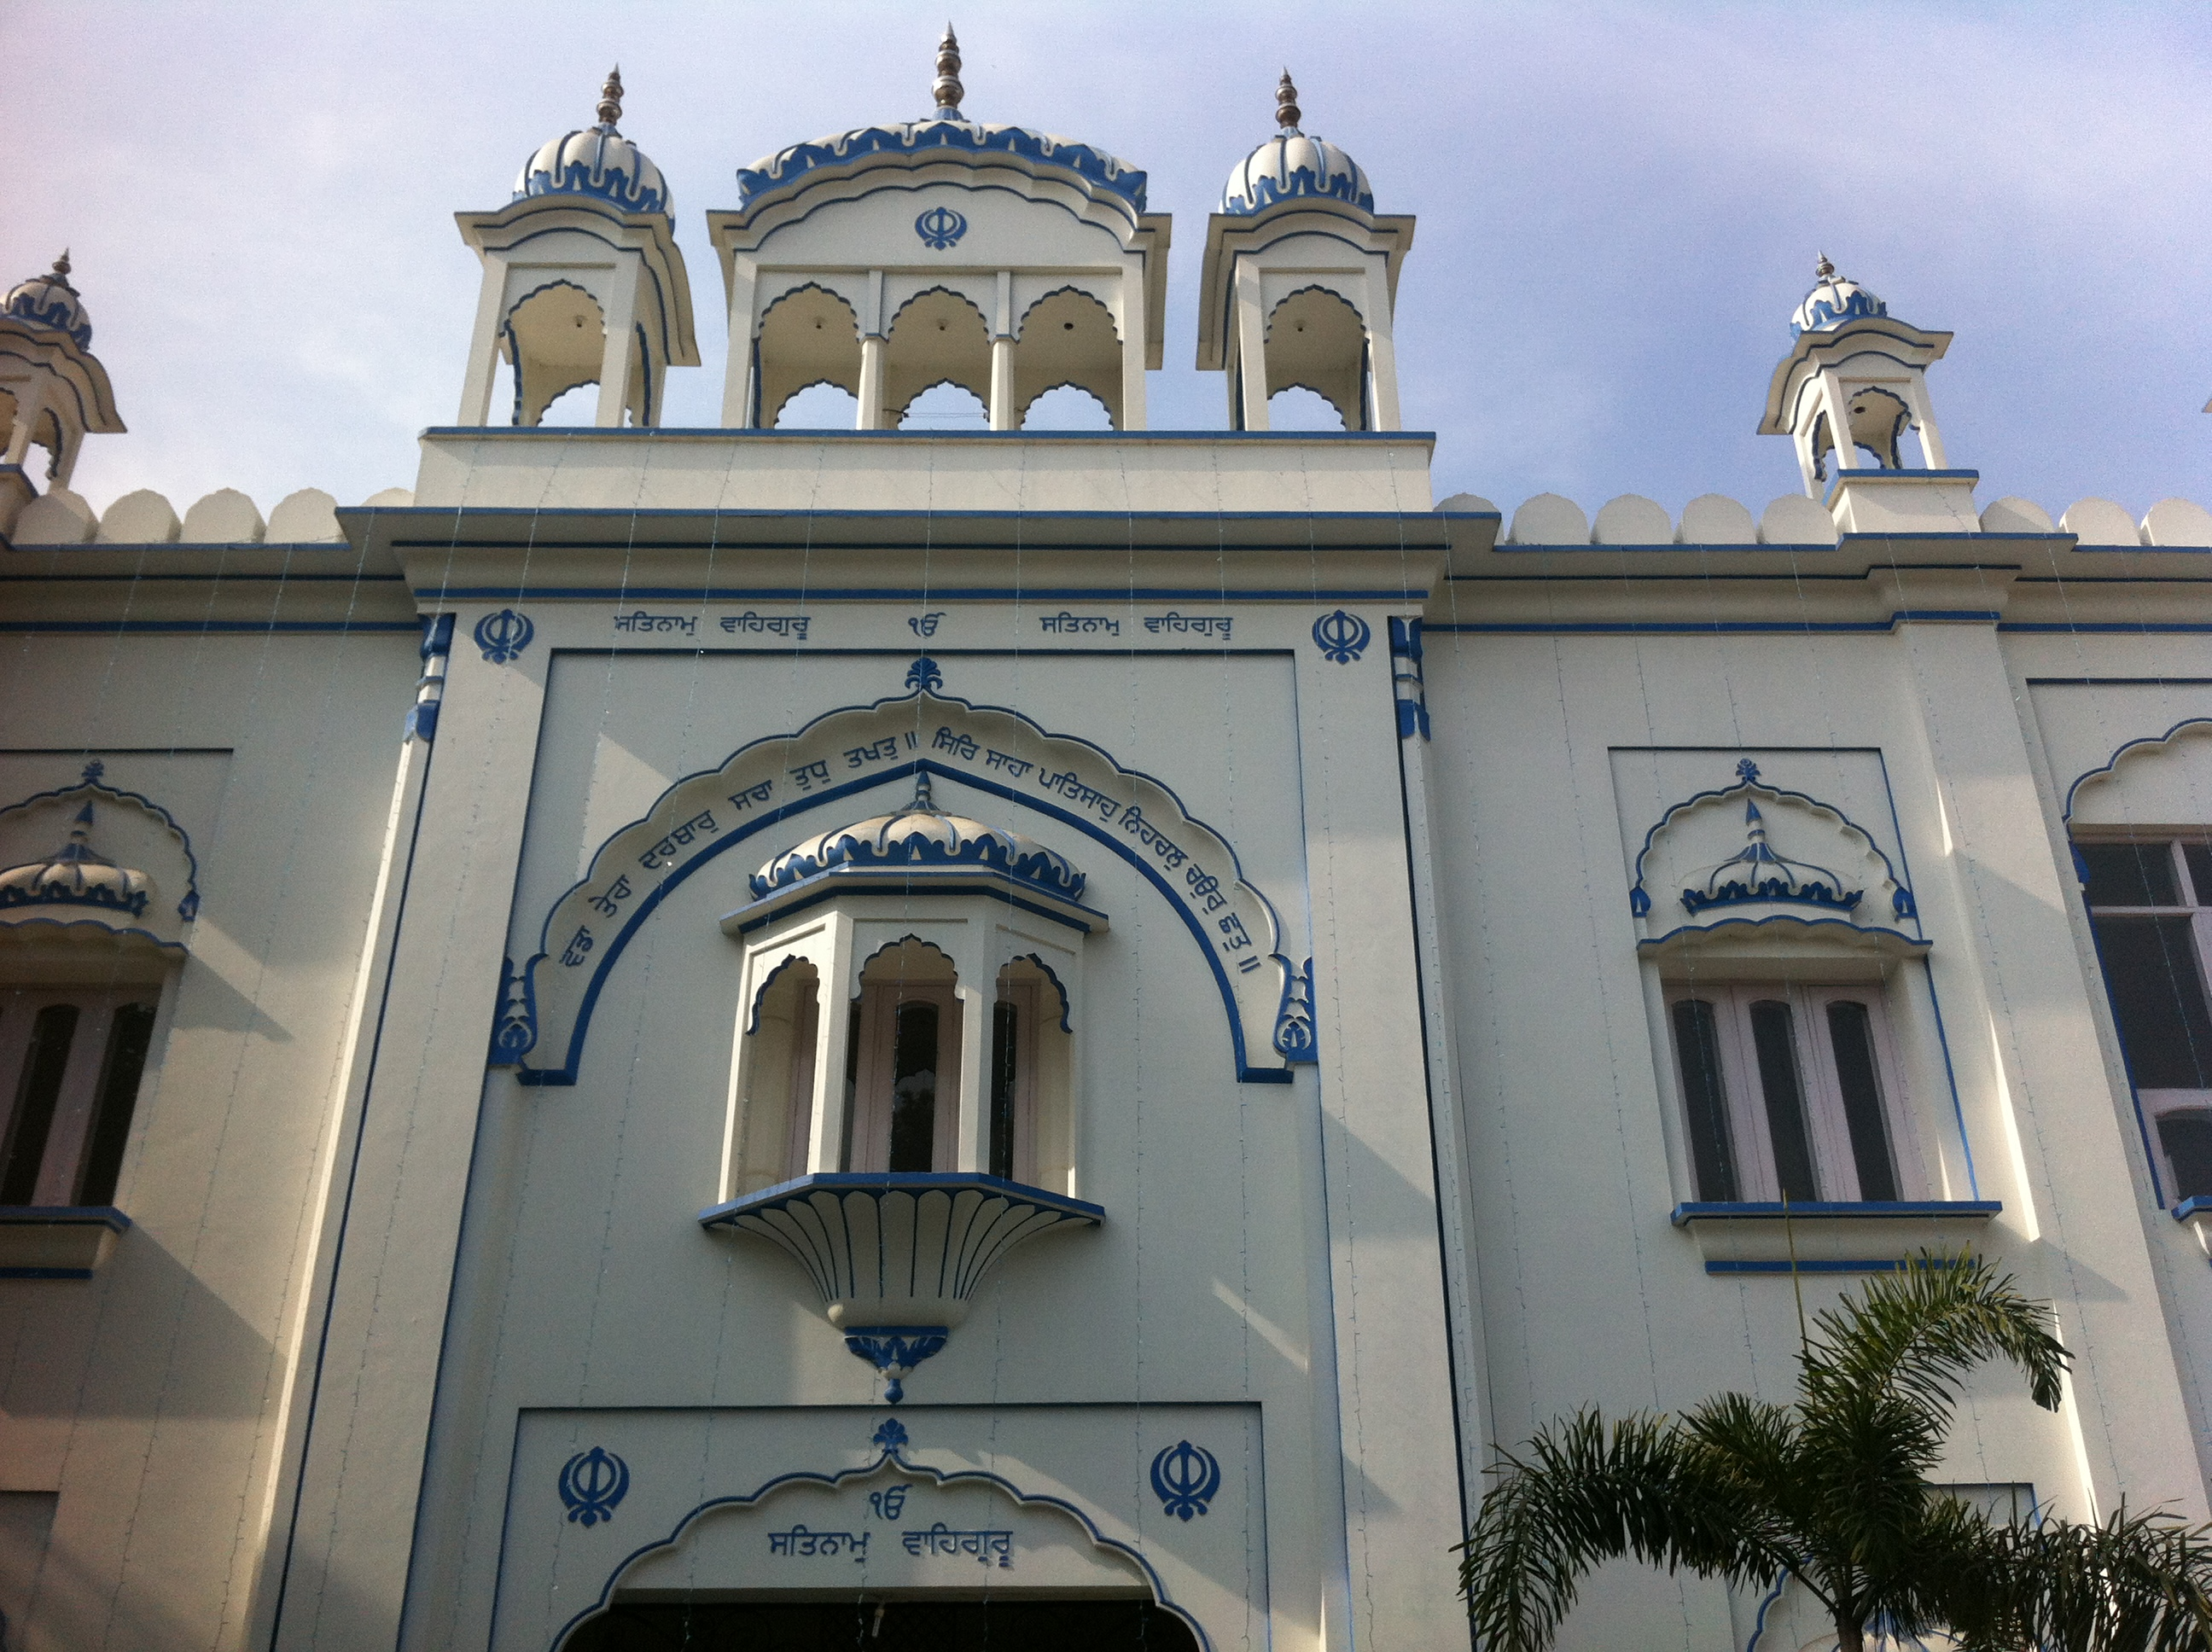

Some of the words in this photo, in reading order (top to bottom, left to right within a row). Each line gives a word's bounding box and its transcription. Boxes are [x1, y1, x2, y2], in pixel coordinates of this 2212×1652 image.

[607, 608, 704, 643] ਸਤਿਨਾਮੁ
[715, 607, 818, 643] ਵਹਿਗੁਰੂ
[905, 603, 952, 639] ੧ਓ
[1036, 607, 1126, 639] ਸਤਿਨਾਮੁ
[1138, 606, 1237, 643] ਵਾਹਿਗ੍ਰਰੂ
[724, 772, 780, 817] ਸਚਾ
[782, 753, 836, 797] ਤੁਧੁ
[837, 730, 906, 775] ਤਖਤੁ
[925, 721, 984, 765] ਸਿਰਿ
[981, 742, 1037, 783] ਸਾਹਾ
[1031, 759, 1124, 825] ਪਾਤਿਸਾਹੁ
[633, 802, 727, 876] ਦਰਬਾਰੁ
[1111, 800, 1197, 876] ਨਿਹਚਲੁ
[584, 868, 640, 920] ਤੇਰਾ
[1181, 856, 1231, 918] ਰਉਰ
[553, 919, 598, 973] ਵਡਾ
[1213, 906, 1255, 960] ਛਤੁ
[864, 1480, 918, 1527] ੧ਓ
[757, 1521, 872, 1567] ਸਤਿਨਾਸੁ
[893, 1517, 1018, 1571] ਵਾਹਿਗੁਰੂ